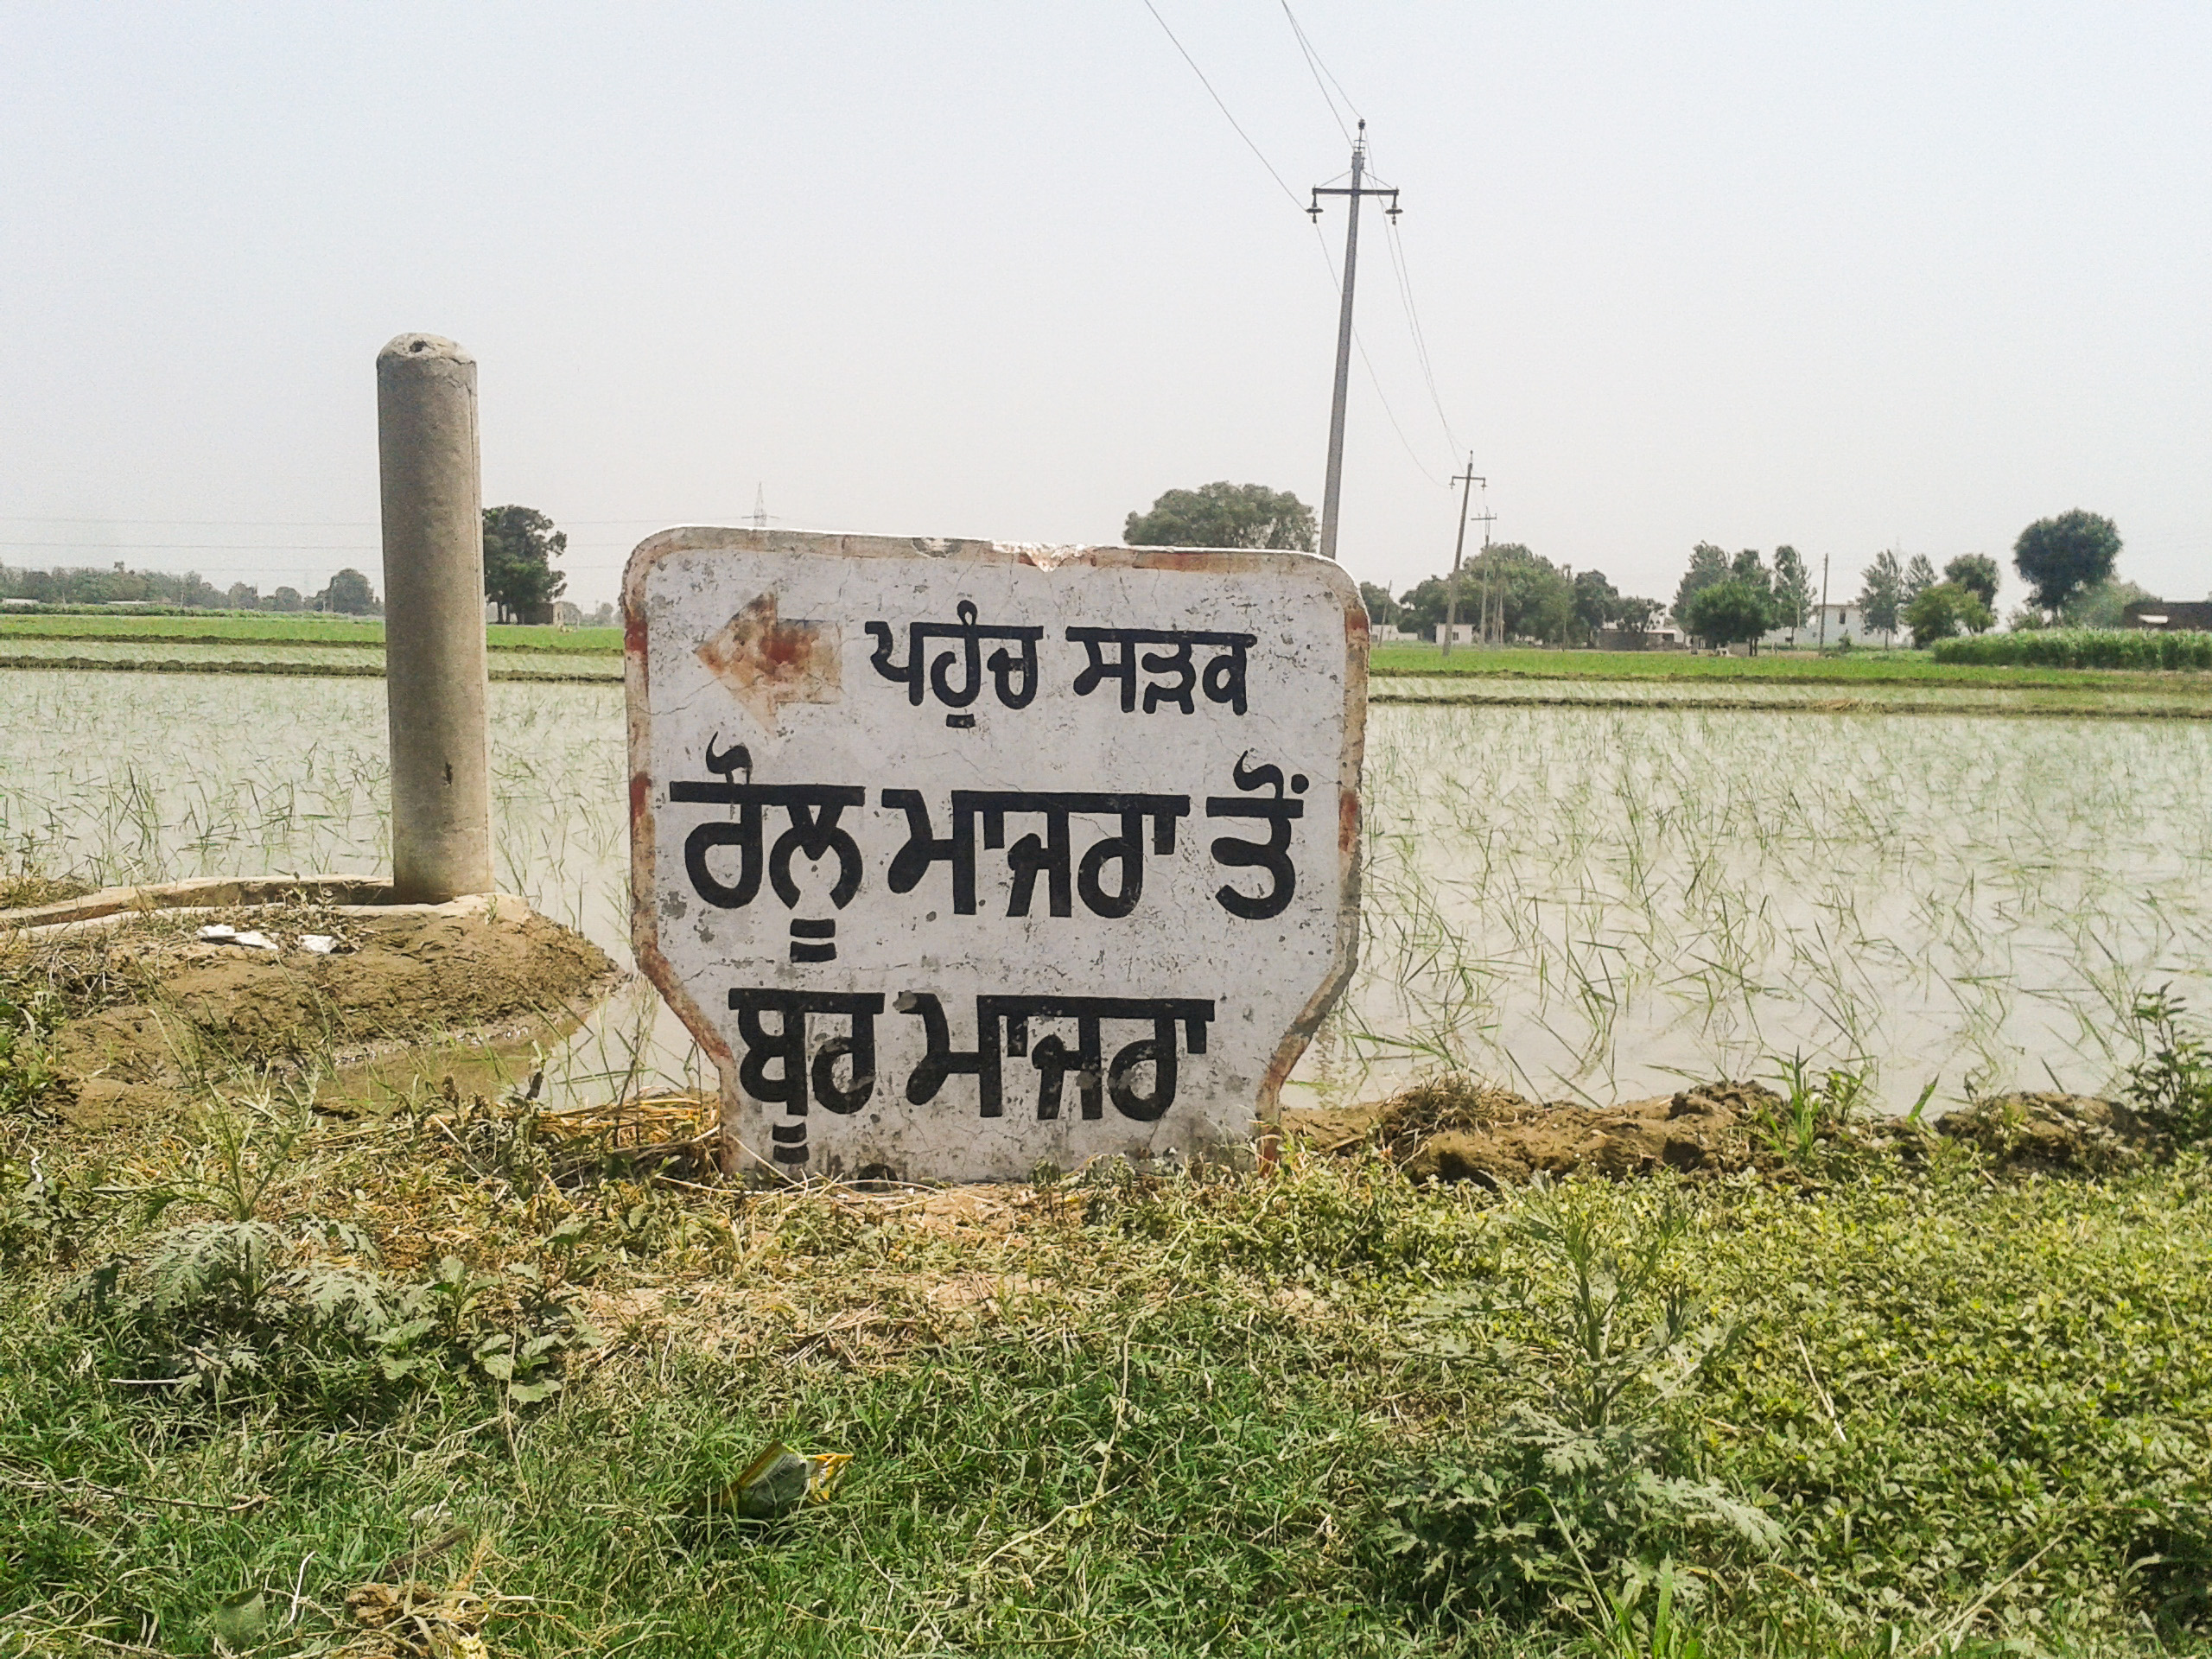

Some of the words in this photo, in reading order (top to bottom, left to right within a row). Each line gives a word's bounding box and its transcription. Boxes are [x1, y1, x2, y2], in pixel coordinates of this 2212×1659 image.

[854, 581, 1063, 750] ਪਹੁੰਚ
[1059, 617, 1267, 732] ਸੜਕ
[659, 723, 878, 976] ਰੇਲੂ
[871, 774, 1197, 944] ਮਾਜਰਾ
[1189, 746, 1317, 935] ਤੋਂ
[712, 969, 891, 1179] ਬੂਹ
[883, 976, 1221, 1144] ਮਾਜਗ